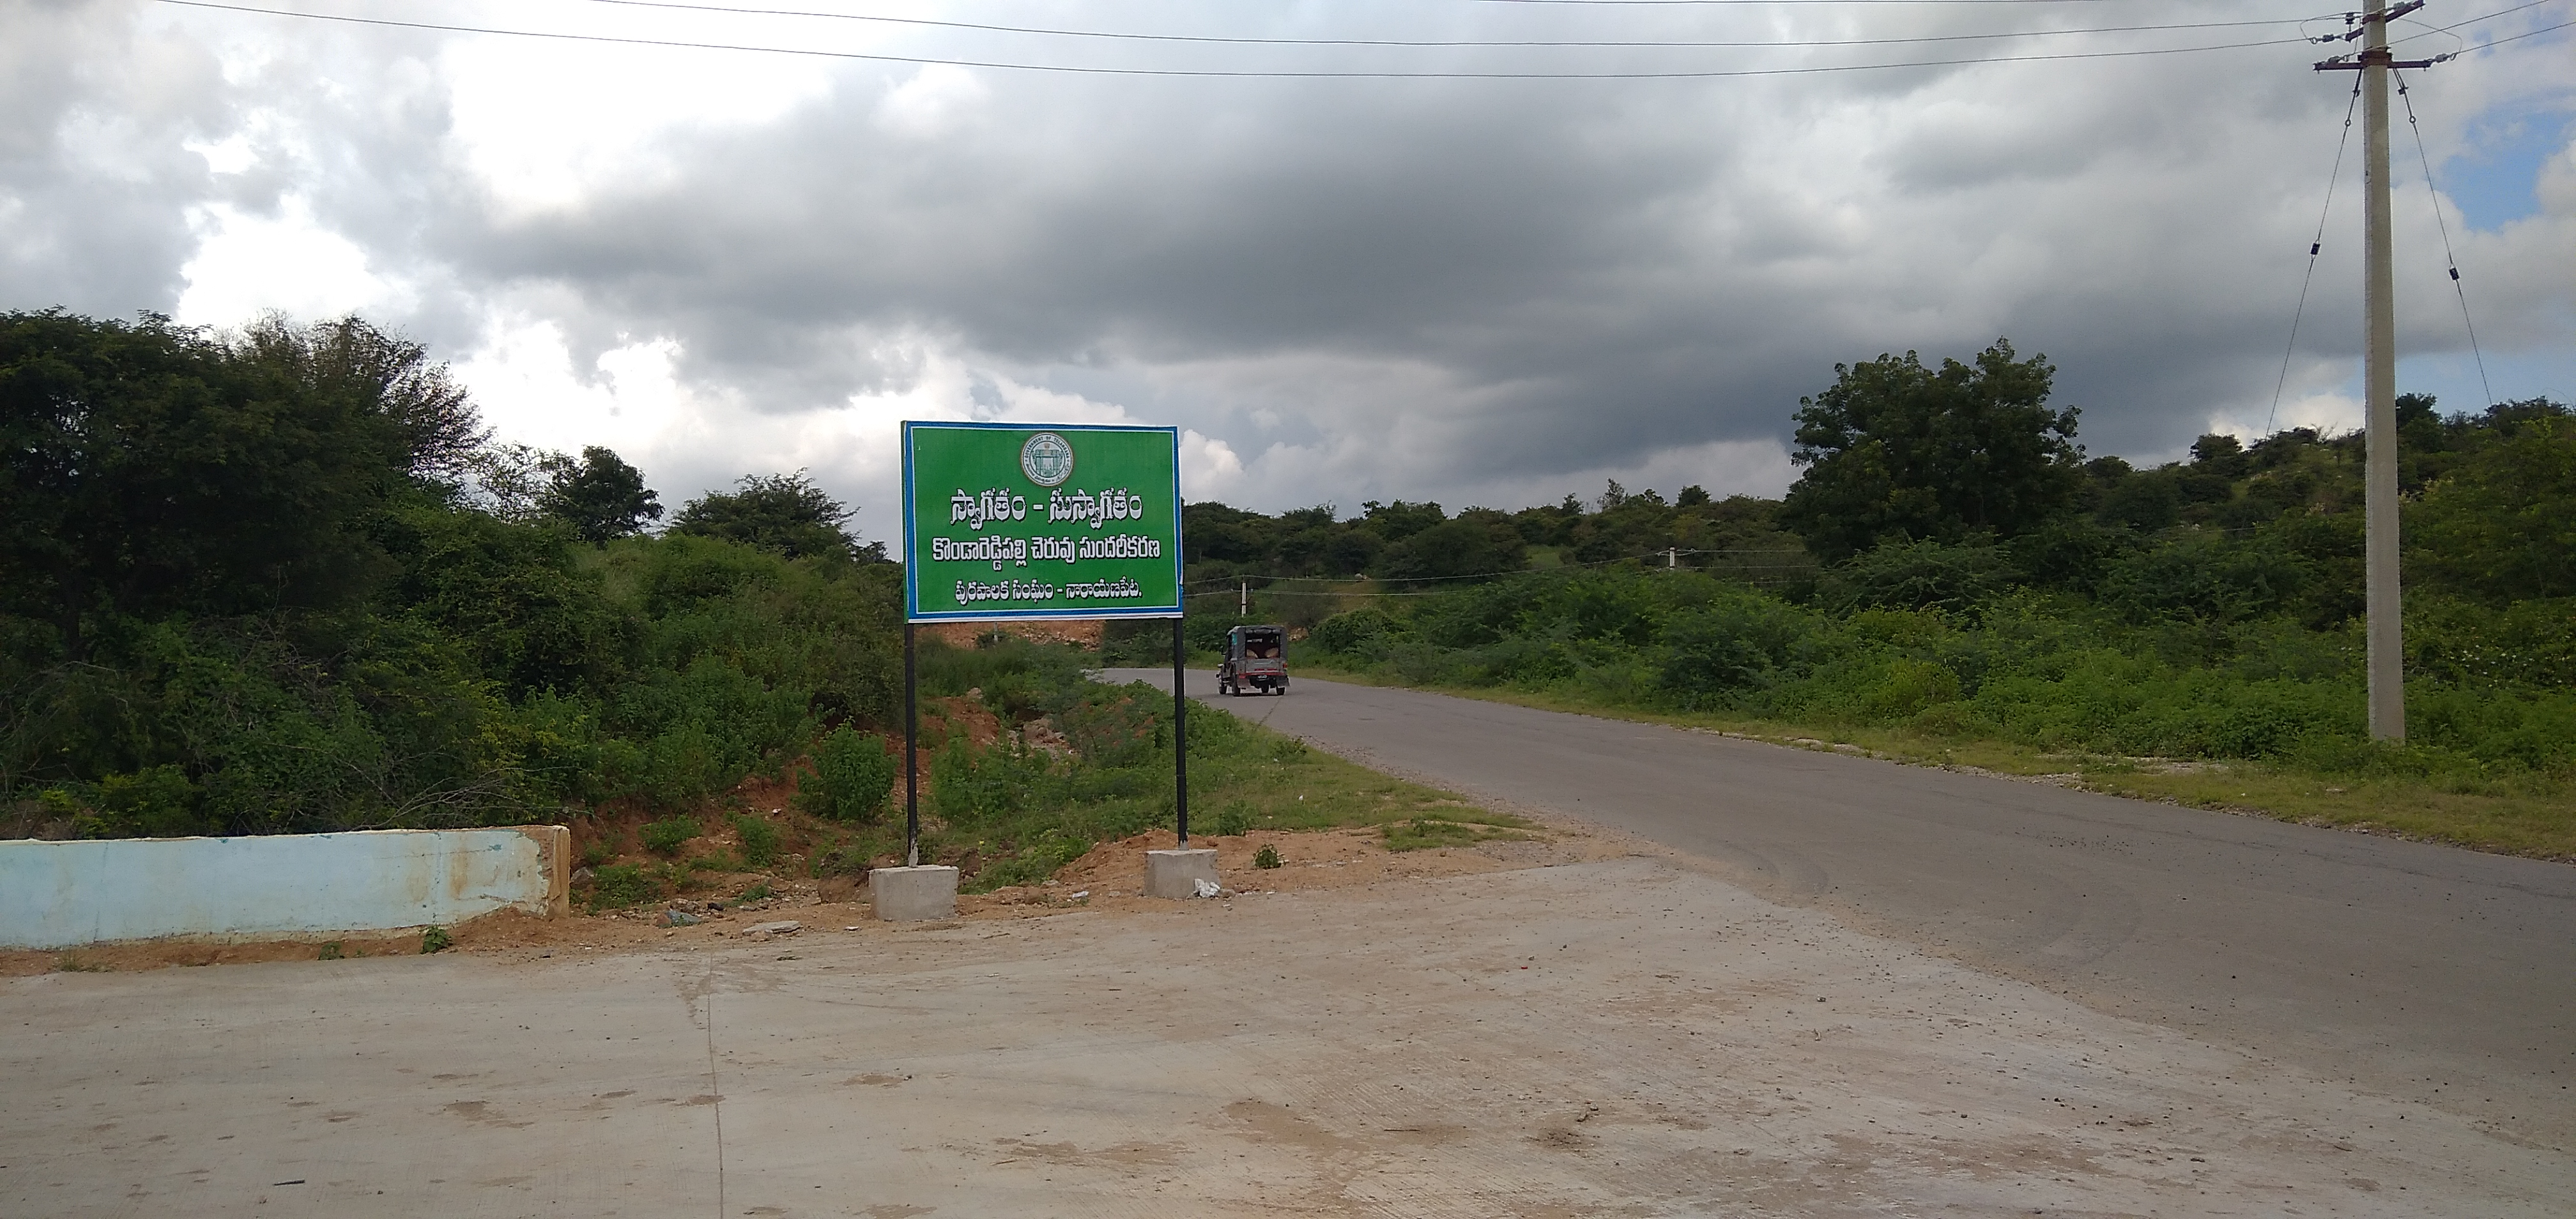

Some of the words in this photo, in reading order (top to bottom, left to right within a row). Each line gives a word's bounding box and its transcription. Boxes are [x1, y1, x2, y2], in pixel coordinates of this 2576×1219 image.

[946, 484, 1030, 533] స్వాగతం
[1045, 483, 1147, 535] సుస్పాగతం
[928, 532, 1031, 574] కొండారెడ్డిపల్లి
[1028, 531, 1079, 565] చెరువు
[1075, 530, 1164, 563] సుందరీకరణ
[951, 572, 1013, 608] పురపాలక
[1009, 573, 1056, 606] సంఘం
[1062, 572, 1146, 601] నారాయణపేట.